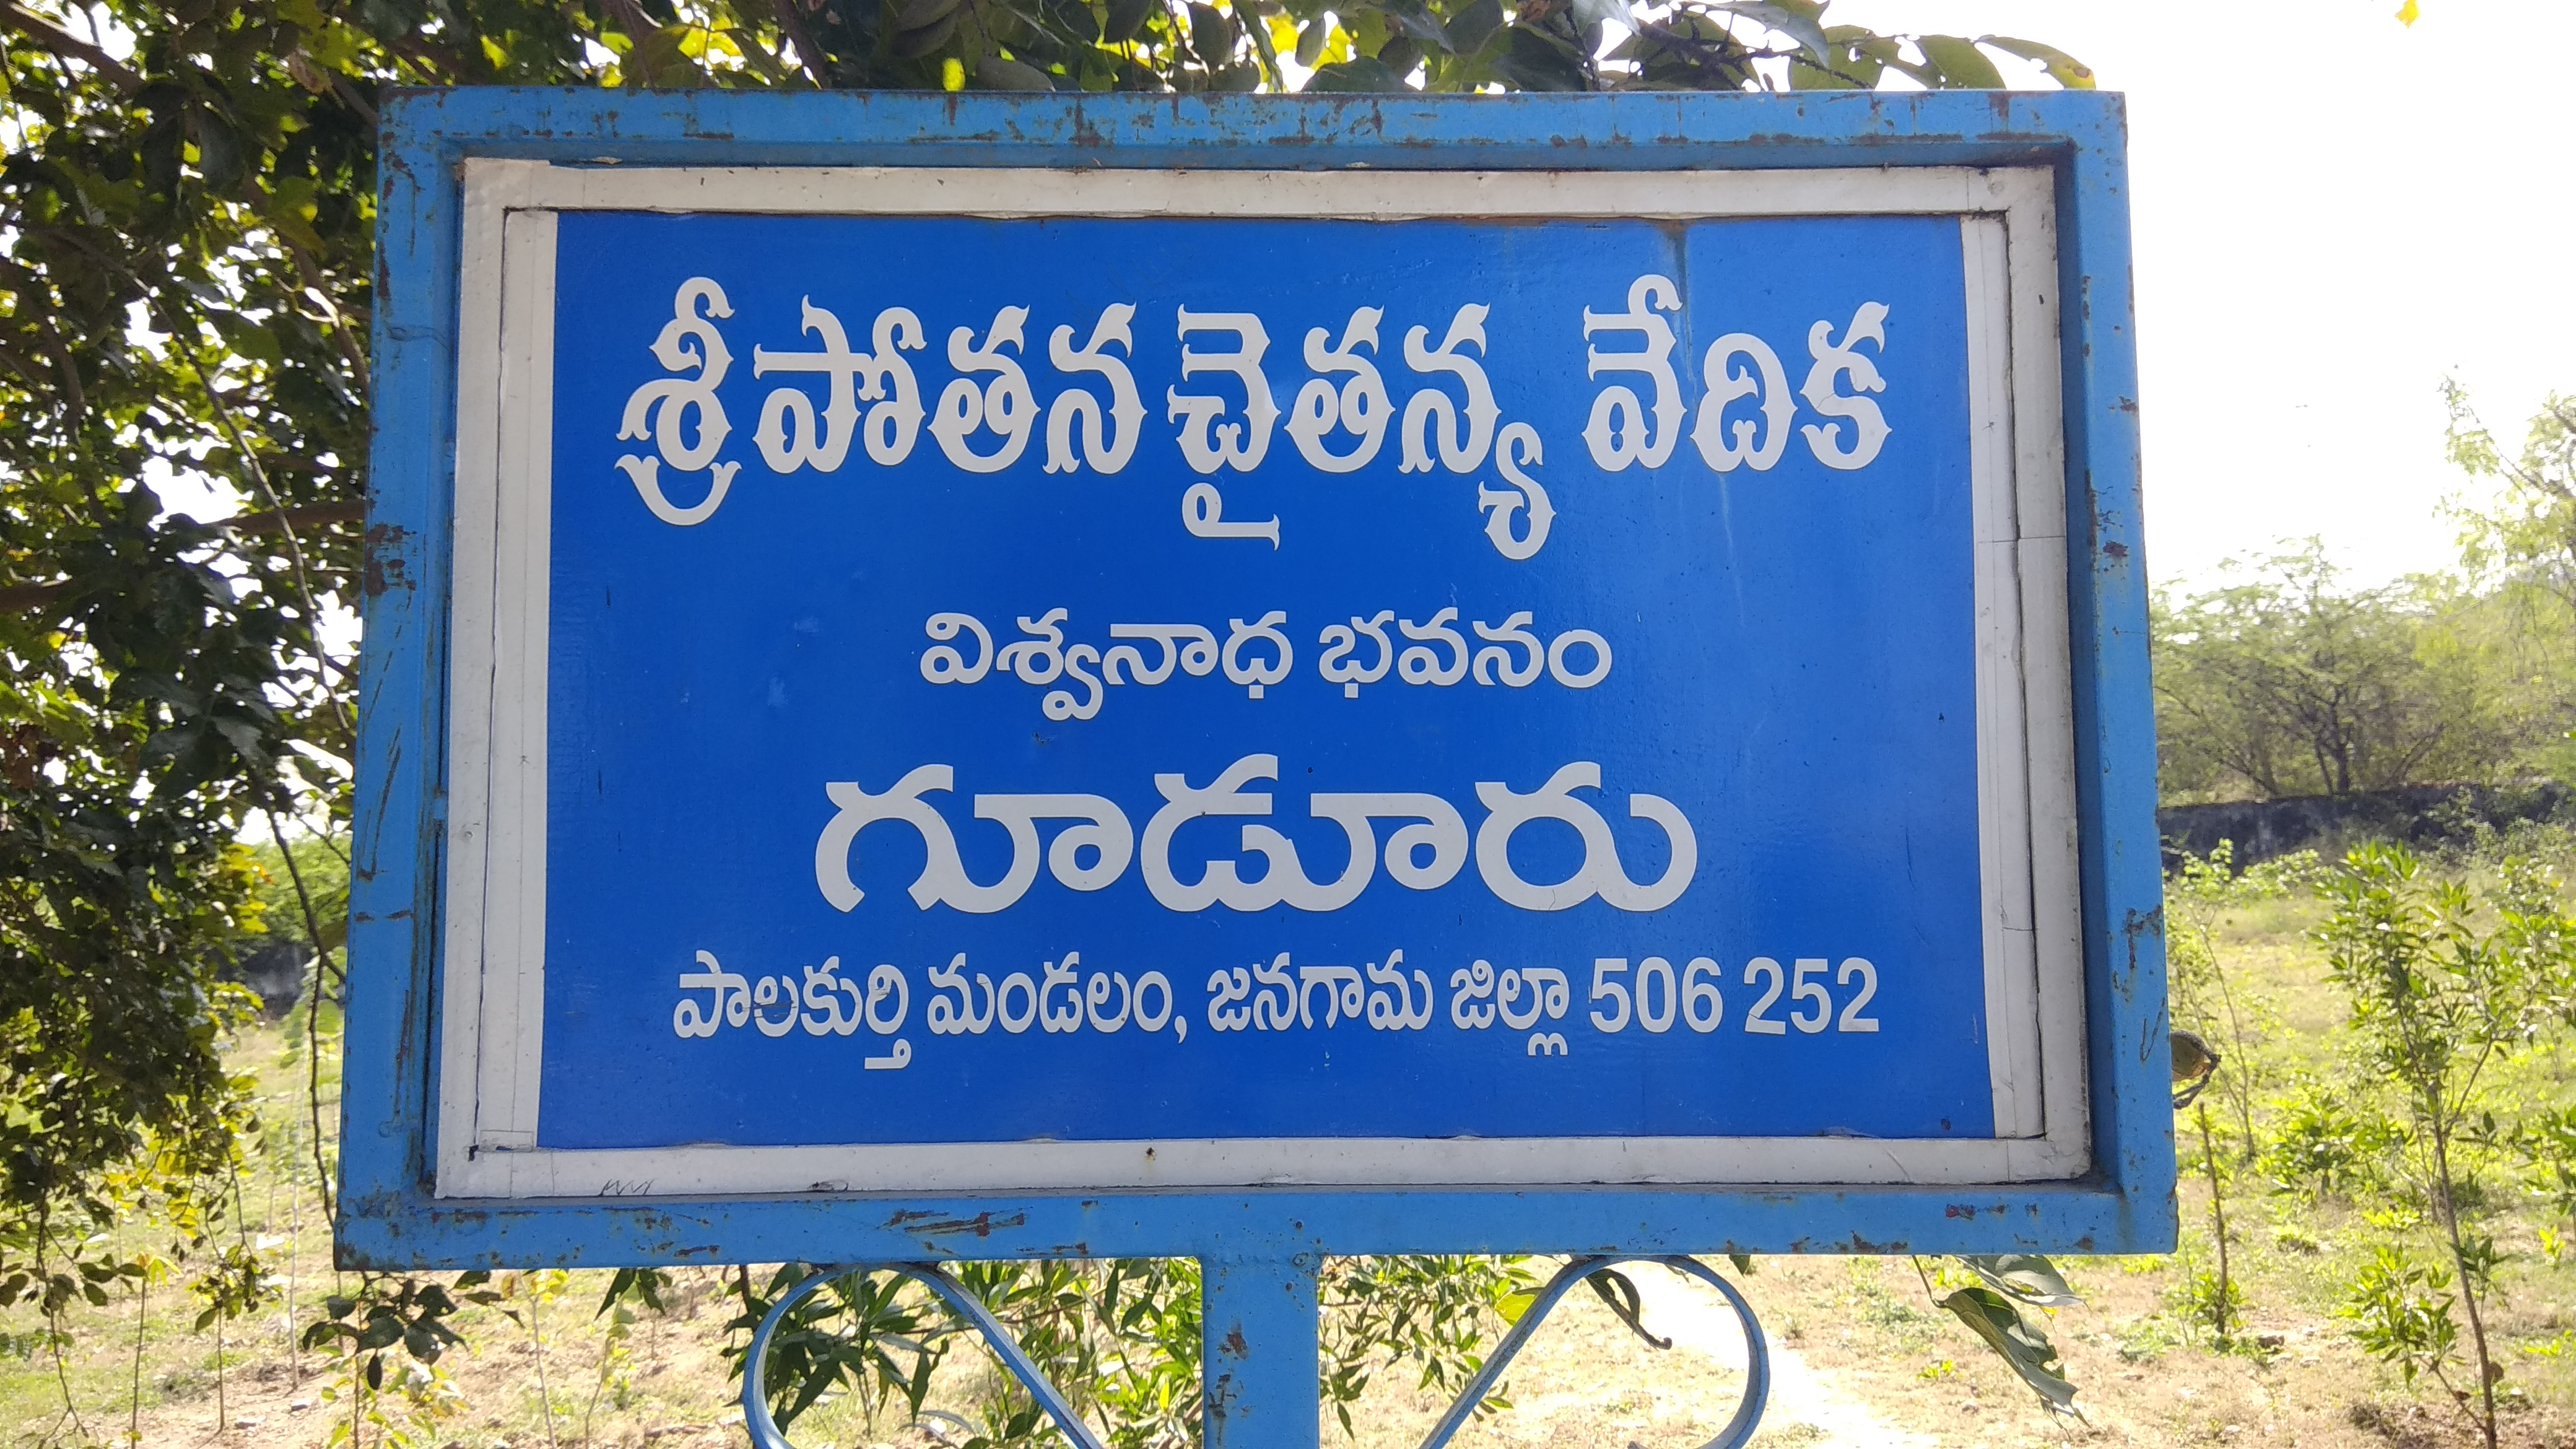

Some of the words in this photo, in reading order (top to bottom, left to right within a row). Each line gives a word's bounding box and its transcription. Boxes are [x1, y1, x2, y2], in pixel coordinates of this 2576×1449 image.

[607, 266, 1562, 564] శ్రీపోతనచైతన్య
[1561, 268, 1908, 490] వేదిక
[914, 598, 1297, 728] విశ్వనాధ
[1308, 596, 1616, 703] భవనం
[802, 749, 1704, 920] గూడూరు
[663, 939, 914, 1077] పాలకుర్తి
[918, 949, 1178, 1039] మండలం
[1202, 939, 1436, 1037] జనగామ
[1442, 952, 1576, 1067] జిల్లా
[1585, 944, 1724, 1035] 506
[1735, 948, 1885, 1040] 252